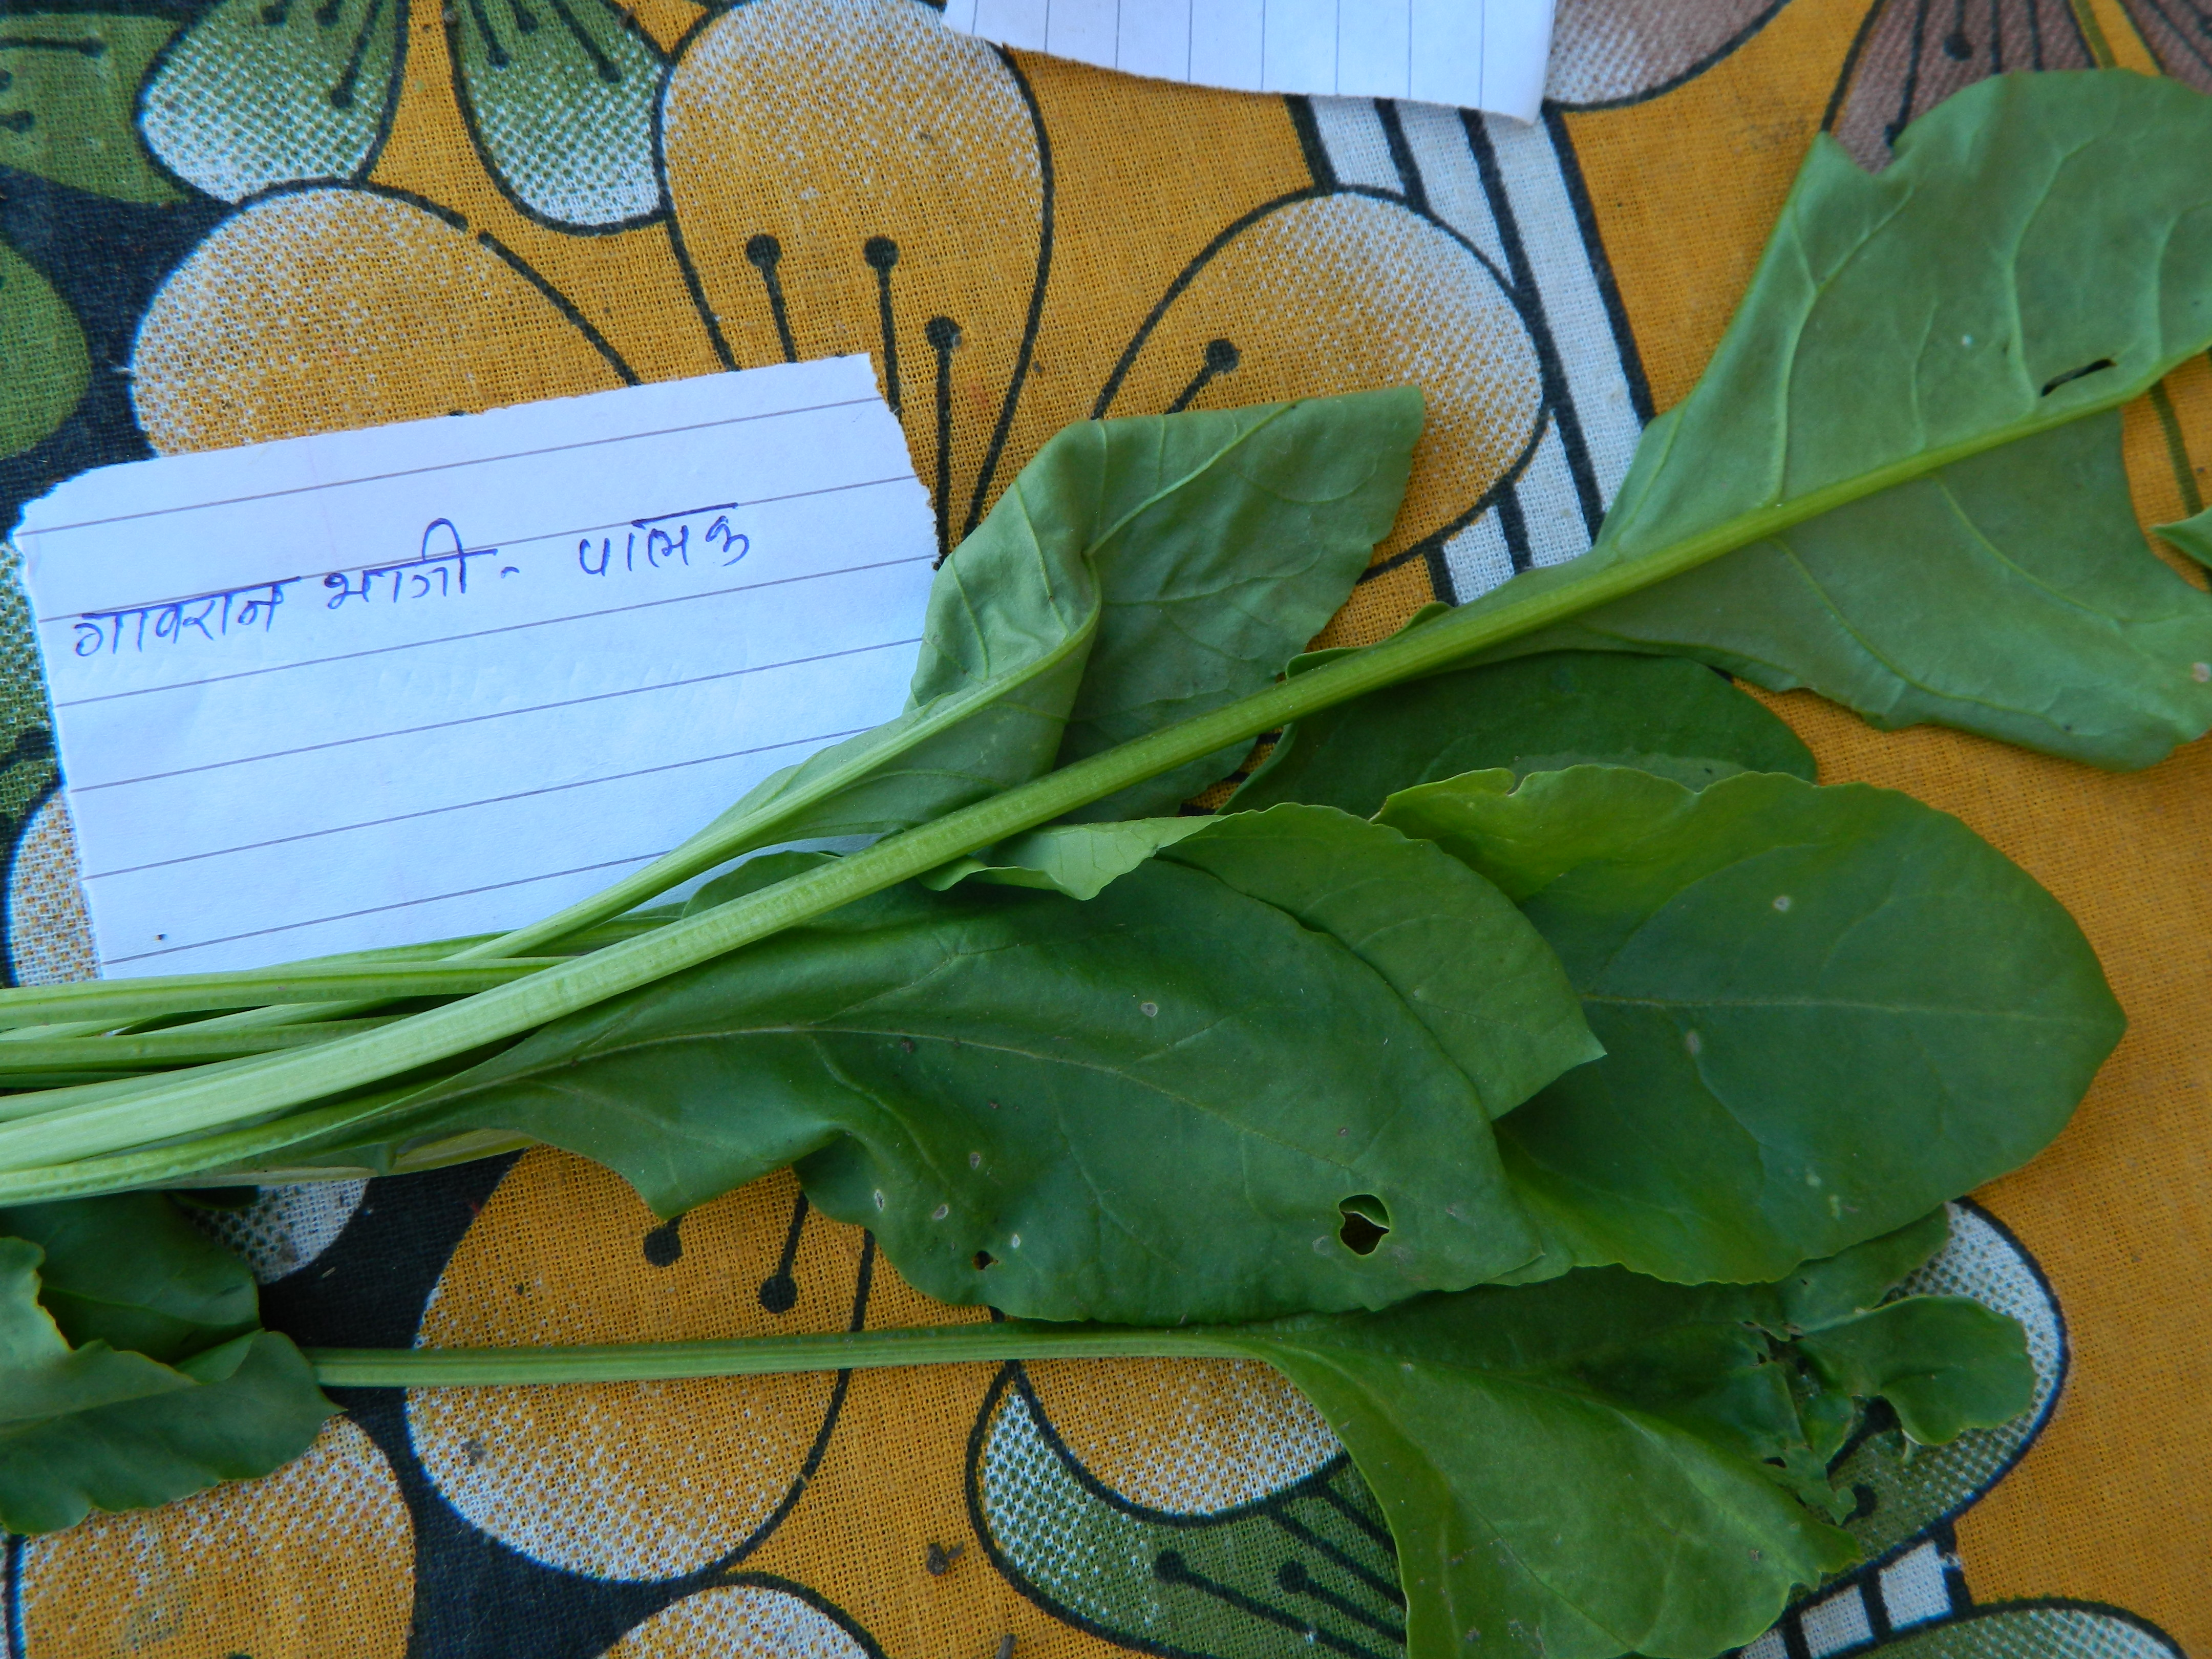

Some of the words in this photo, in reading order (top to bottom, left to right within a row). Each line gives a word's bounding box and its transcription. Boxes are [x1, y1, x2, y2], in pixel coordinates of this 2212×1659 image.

[50, 562, 311, 682] गावरान
[312, 513, 530, 626] भाजी
[565, 485, 775, 604] पालक